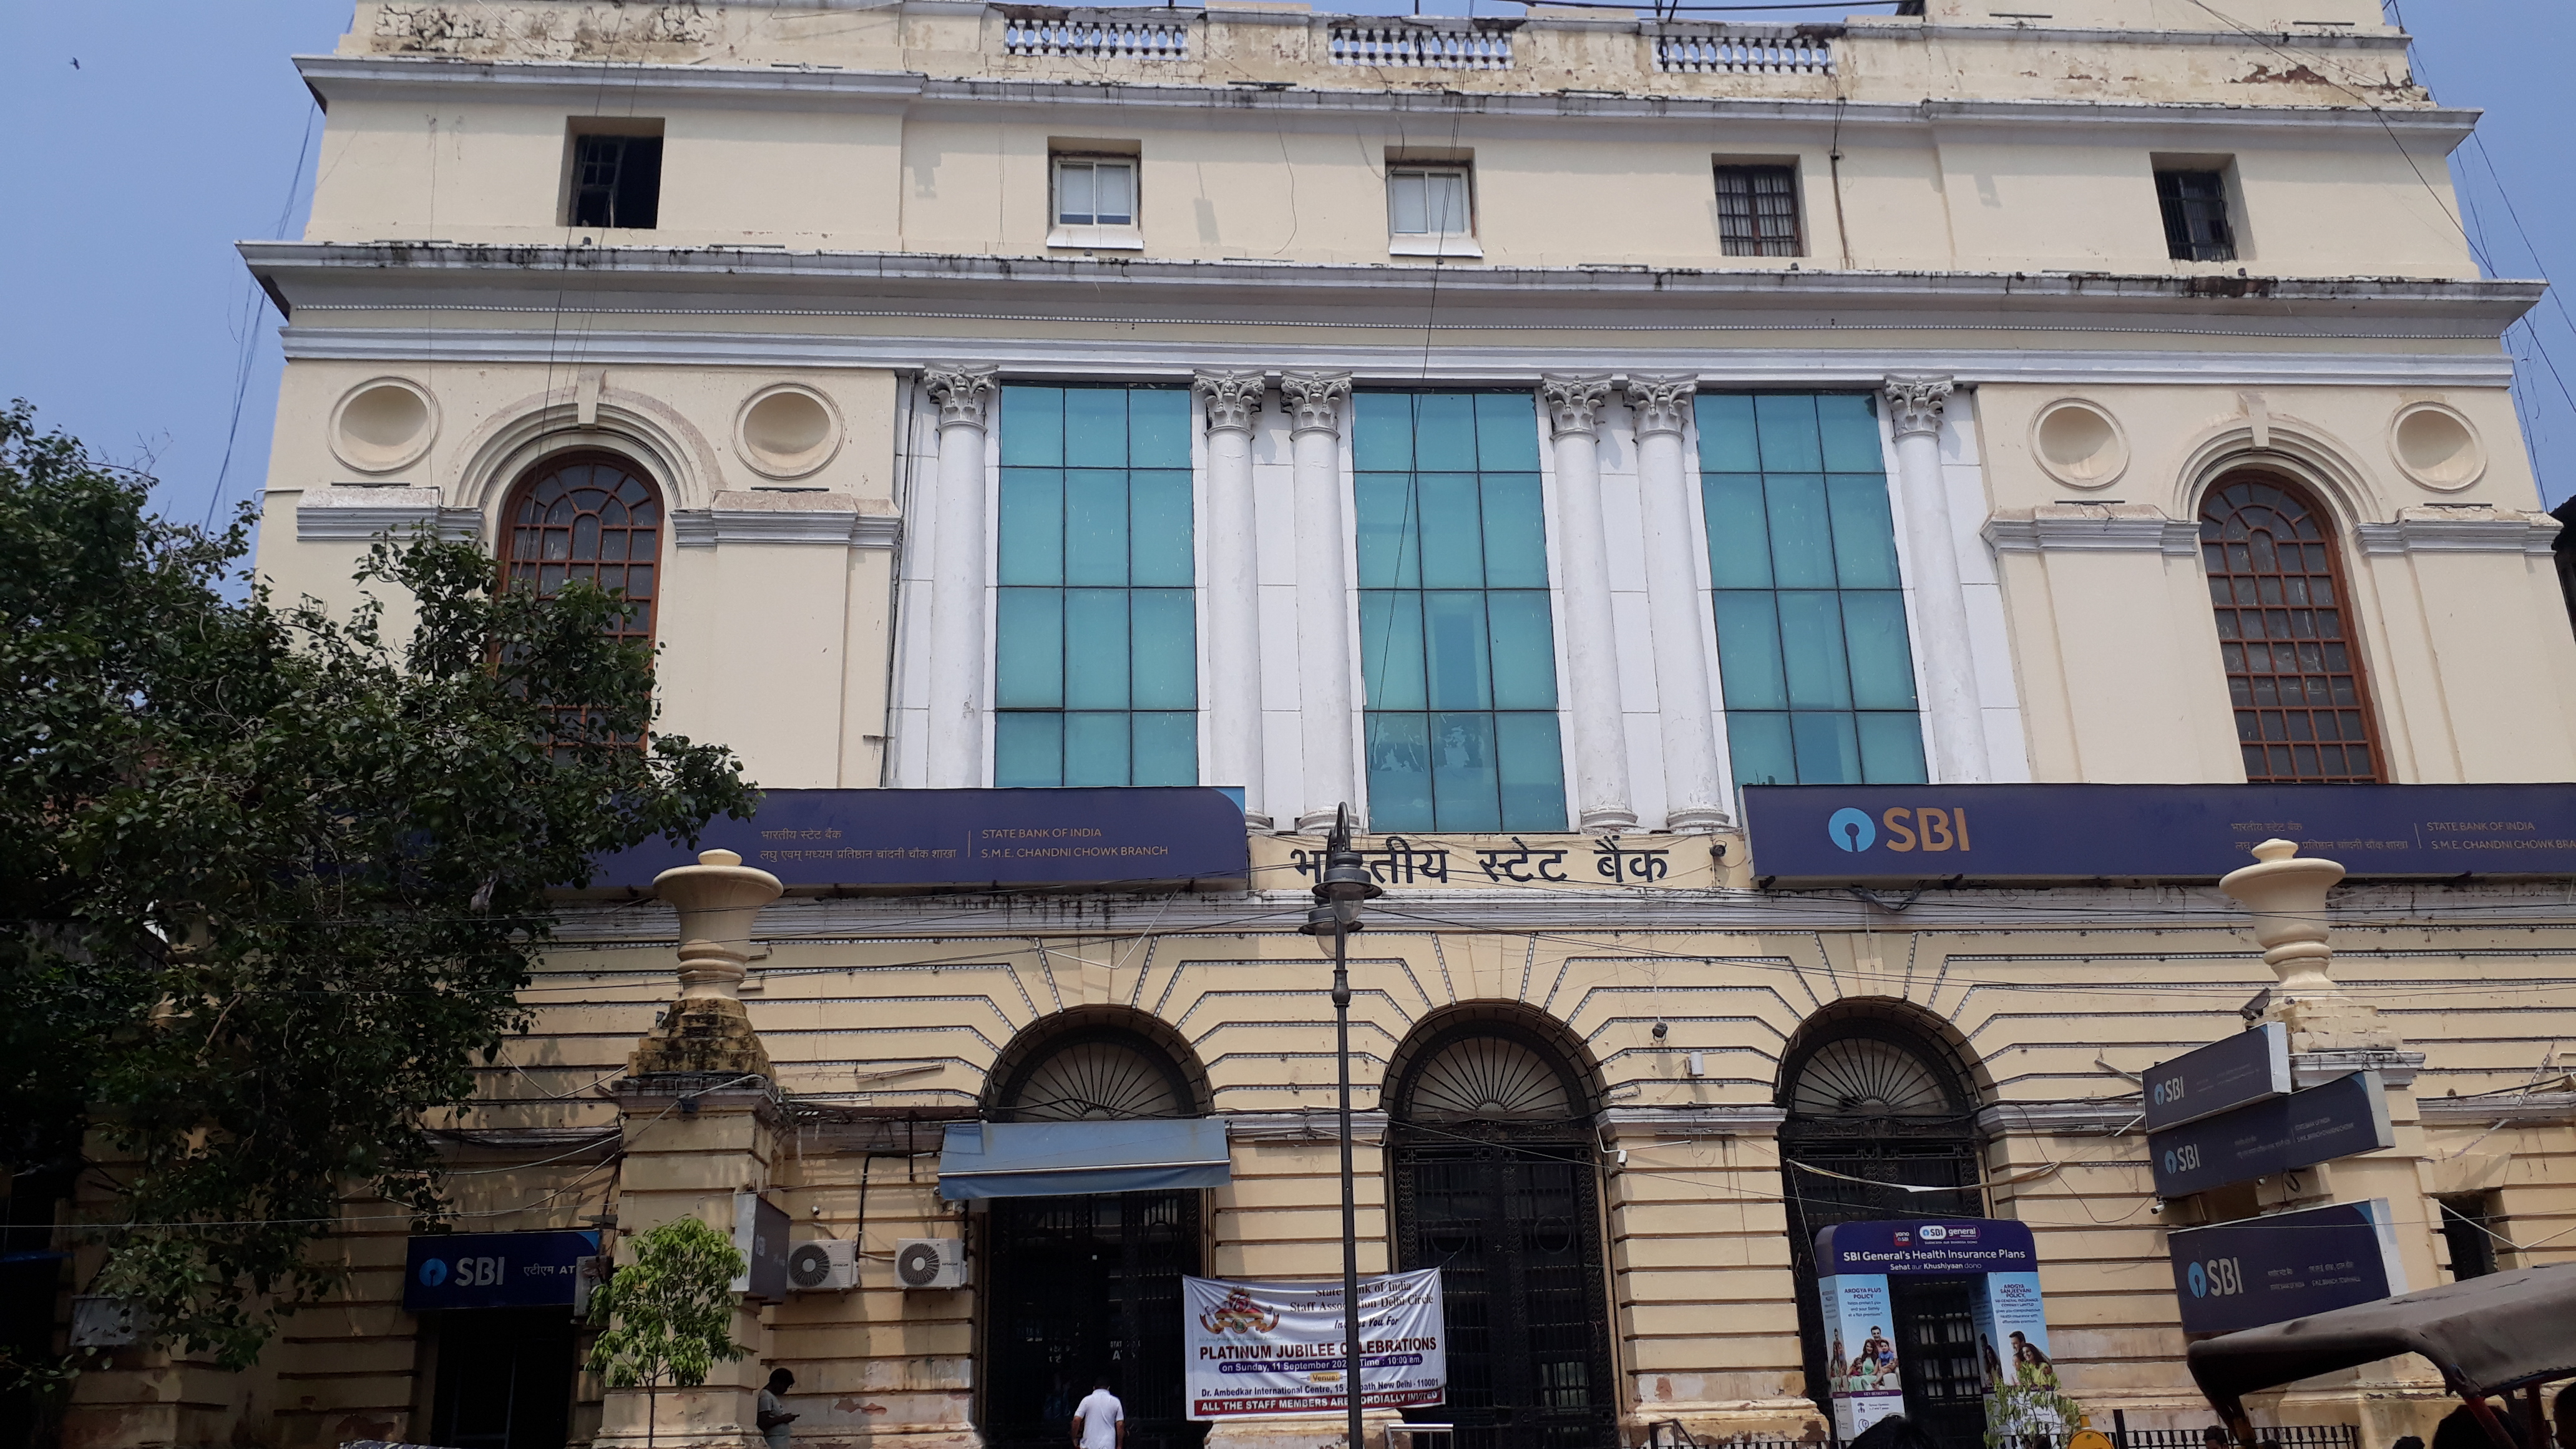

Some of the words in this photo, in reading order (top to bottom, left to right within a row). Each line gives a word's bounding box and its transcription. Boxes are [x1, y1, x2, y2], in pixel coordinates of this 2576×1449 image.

[759, 825, 801, 842] भारतीय
[799, 824, 823, 843] स्टेट
[821, 824, 844, 841] बैंक
[980, 825, 1018, 841] STATE
[1017, 827, 1053, 841] BANK
[1049, 826, 1070, 841] OF
[1068, 826, 1104, 841] INDIA
[1883, 804, 1973, 856] SBI
[2228, 817, 2265, 836] भारतीय
[2263, 817, 2288, 836] स्टेट
[2285, 814, 2305, 834] बैंक
[2427, 817, 2459, 836] STATE
[2458, 819, 2489, 837] BANK
[2488, 820, 2507, 833] OF
[2504, 819, 2536, 834] INDIA
[758, 847, 782, 866] लघु
[779, 848, 803, 865] एवम्
[804, 847, 836, 861] मध्यम
[835, 844, 874, 861] प्रतिष्ठान
[872, 844, 907, 861] चांदनी
[906, 843, 932, 862] चौक
[930, 847, 960, 864] शाखा
[980, 846, 1017, 864] S.M.E.
[1015, 846, 1073, 861] CHANDNI
[1072, 846, 1120, 861] CHOWK
[1118, 843, 1170, 860] BRANCH
[1288, 832, 1450, 887] भतीय
[1475, 836, 1572, 887] स्टेट
[1592, 833, 1671, 885] बैंक
[2235, 839, 2255, 856] लघु
[2298, 836, 2338, 854] प्रतिष्ठान
[2335, 834, 2364, 852] चांदनी
[2363, 835, 2386, 854] चौक
[2383, 839, 2411, 853] शाखा
[2429, 838, 2466, 854] S.M.E.
[2461, 838, 2515, 852] CHANDNI
[2512, 838, 2555, 852] CHOWK
[2150, 1074, 2185, 1110] SBI
[2160, 1140, 2203, 1179] SBI
[1840, 1250, 1864, 1264] SBI
[1858, 1249, 1914, 1262] General
[1909, 1247, 1949, 1262] Health
[1946, 1248, 1999, 1262] Insurance
[1996, 1247, 2029, 1261] Plans
[454, 1255, 508, 1290] SBI
[522, 1260, 557, 1279] एटीएम
[1888, 1261, 1913, 1274] Sehat
[1921, 1261, 1966, 1272] Khushiyaan
[1961, 1260, 1984, 1272] dono
[2181, 1252, 2246, 1301] SBI
[1287, 1299, 1317, 1314] Staff
[1315, 1286, 1344, 1300] State
[1315, 1296, 1379, 1312] Assotion
[1371, 1281, 1385, 1295] of
[1380, 1294, 1407, 1309] Delhi
[1387, 1277, 1414, 1292] India
[1405, 1291, 1437, 1306] Circle
[1366, 1316, 1385, 1331] You
[1383, 1315, 1401, 1329] For
[1196, 1344, 1274, 1362] PLATINUM
[1275, 1340, 1337, 1360] JUBILEE
[1339, 1335, 1439, 1356] LEBRATIONS
[1220, 1364, 1236, 1376] on
[1233, 1362, 1268, 1376] Sunday
[1271, 1360, 1285, 1375] 11
[1279, 1360, 1331, 1373] September
[1358, 1356, 1381, 1369] Time
[1386, 1354, 1422, 1368] 10:00am.
[1201, 1387, 1212, 1399] Dr.
[1199, 1399, 1221, 1415] ALL
[1212, 1387, 1254, 1397] Ambedkar
[1222, 1399, 1245, 1413] THE
[1243, 1398, 1276, 1413] STAFF
[1252, 1385, 1304, 1397] International
[1277, 1397, 1329, 1412] MEMBERS
[1304, 1383, 1333, 1397] Centre,
[1332, 1382, 1345, 1395] 15
[1329, 1395, 1351, 1410] ARE
[1360, 1393, 1406, 1407] ORDIALLY
[1377, 1379, 1397, 1392] New
[1394, 1378, 1415, 1390] Delhi-
[1416, 1377, 1440, 1390] 110001